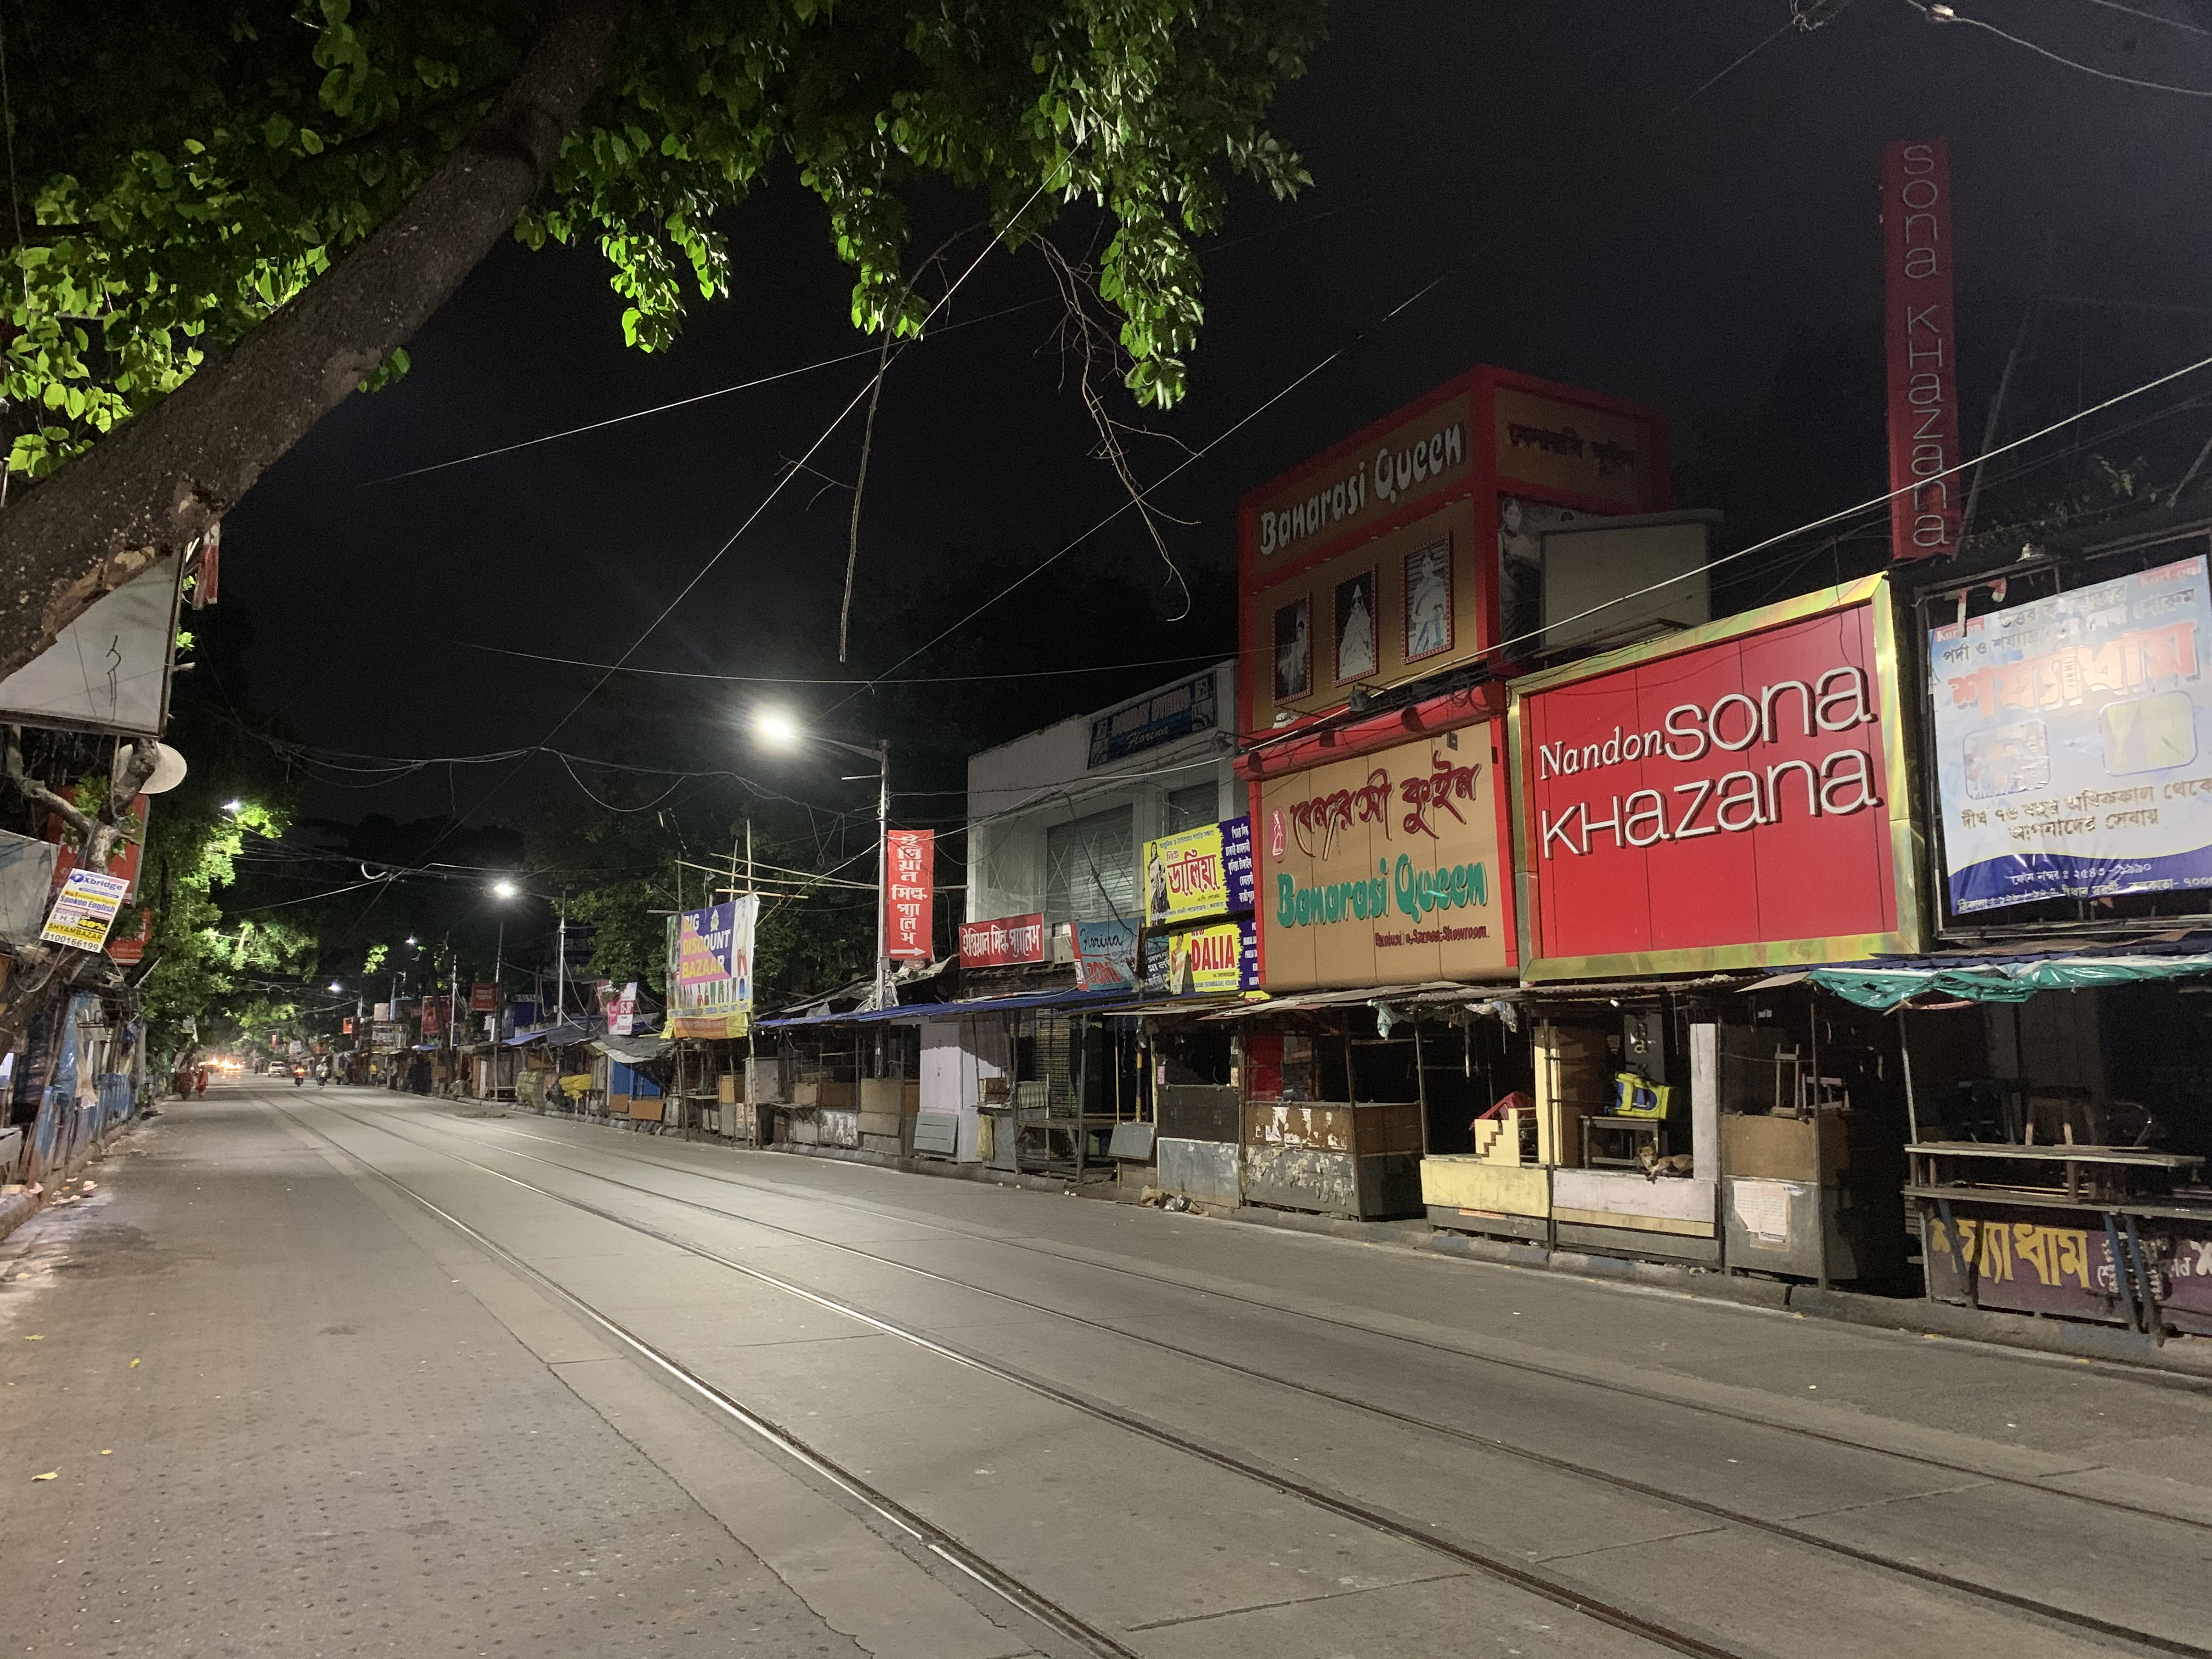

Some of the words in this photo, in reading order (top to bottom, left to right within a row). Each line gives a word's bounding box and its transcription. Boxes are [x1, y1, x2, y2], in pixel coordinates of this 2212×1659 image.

[1886, 130, 1946, 290] sona
[1897, 297, 1957, 552] Khazana
[1369, 421, 1466, 510] Queen
[1257, 459, 1368, 563] Banarasi
[1655, 661, 1877, 769] sona
[1528, 715, 1667, 783] Nandon
[1285, 763, 1399, 864] বেনারসি
[1397, 742, 1487, 841] কুইন
[1538, 742, 1883, 864] KHazana
[1954, 802, 1993, 831] দীর্ঘ
[1988, 797, 2023, 826] ৭৬
[2005, 810, 2101, 847] আগনাদের
[2064, 780, 2160, 816] অধিককাল
[2101, 802, 2161, 839] সেবায়
[680, 911, 704, 934] BIG
[680, 953, 728, 981] BAZAAR
[680, 927, 732, 956] DISCOUNT
[894, 827, 925, 886] ইন্ডিয়ান
[888, 879, 932, 947] ১১৯৭
[957, 923, 992, 960] ইন্ডিয়ান
[986, 920, 1011, 961] মিল্ক
[1008, 922, 1043, 962] প্যালেস
[1076, 923, 1128, 953] Florina
[1160, 845, 1183, 865] নিউ
[1165, 844, 1223, 902] ডালিয়া
[1186, 928, 1239, 974] DALIA
[1272, 854, 1390, 931] Banarasi
[1372, 926, 1406, 950] Exclusi
[1408, 922, 1443, 945] Sarees
[1389, 848, 1492, 927] Queen
[1439, 919, 1490, 943] Showroom.
[1950, 891, 1993, 917] ঠিকানা
[2000, 866, 2038, 889] ফোন
[2035, 862, 2063, 887] নম্বর
[2056, 879, 2092, 902] বিধান
[2069, 853, 2154, 882] ২৫৪৩-১৯৯০
[2124, 874, 2180, 898] কলকাতা
[1949, 1208, 2098, 1295] য্যাধাম